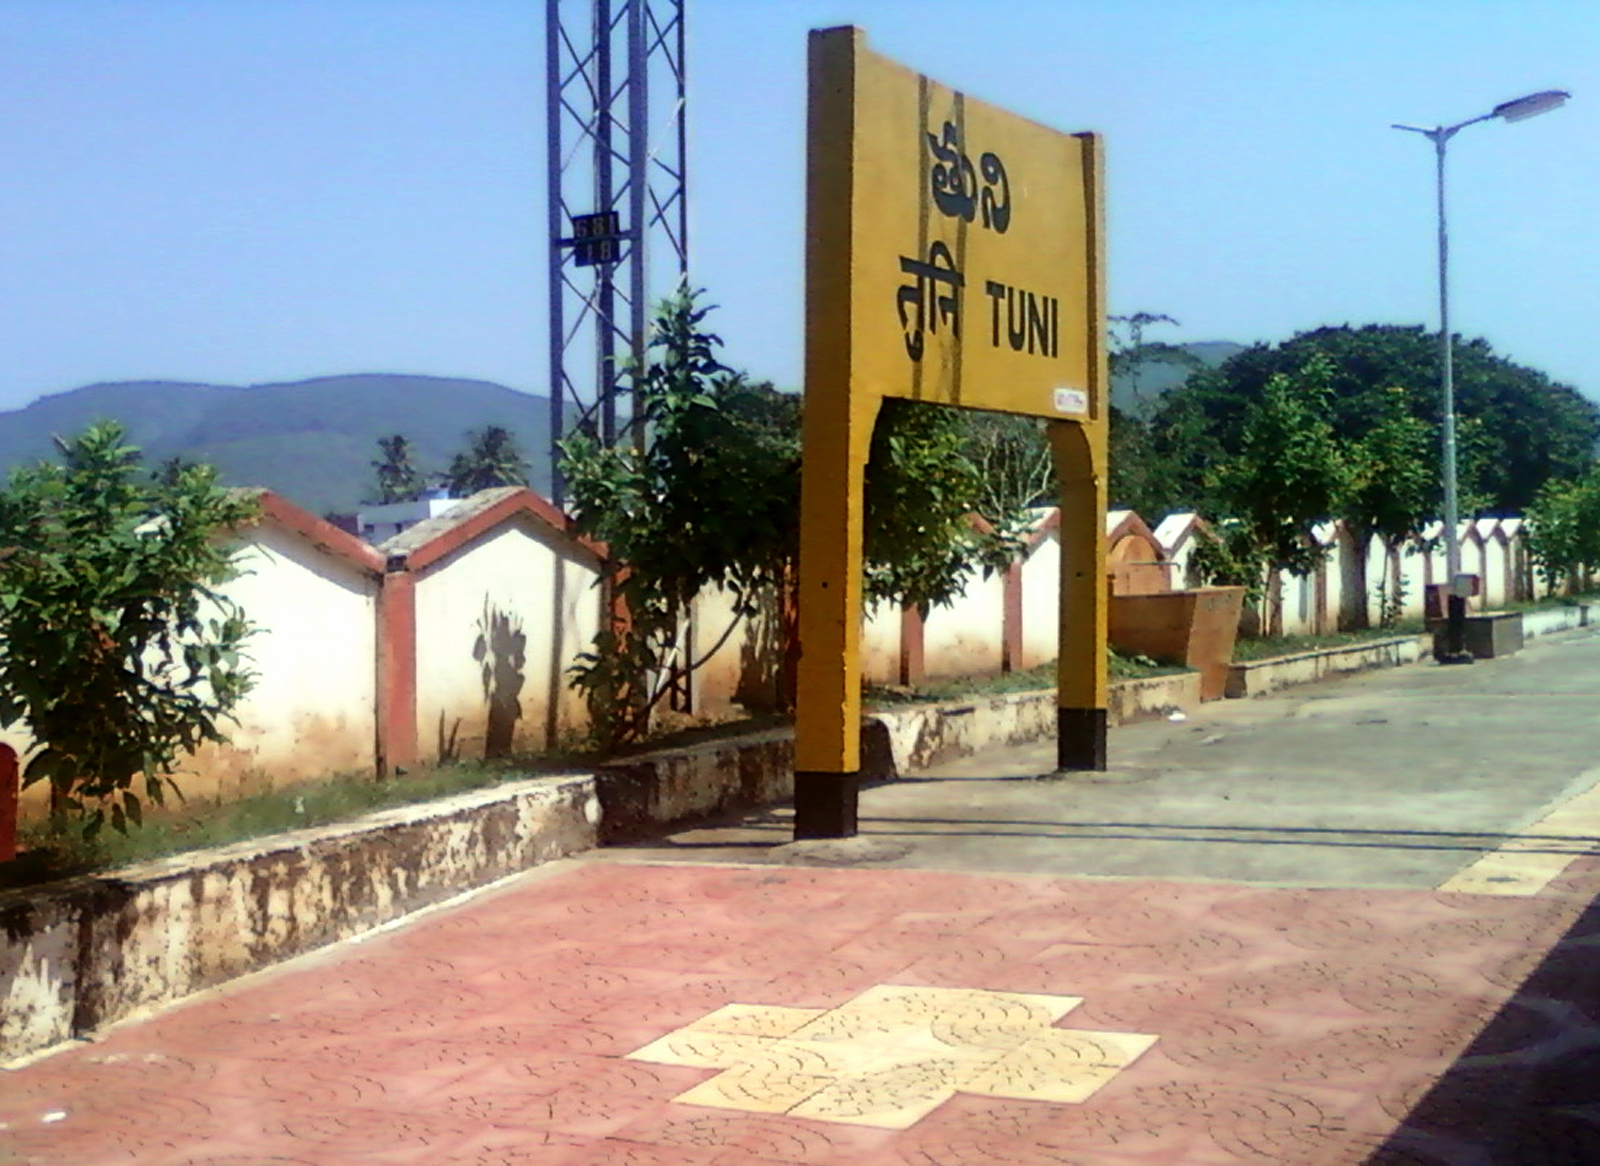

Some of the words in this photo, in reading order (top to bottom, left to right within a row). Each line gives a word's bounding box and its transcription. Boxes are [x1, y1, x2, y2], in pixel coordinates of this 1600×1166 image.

[923, 112, 1015, 242] తుని
[897, 234, 970, 371] तुनि
[982, 276, 1062, 364] TUNI